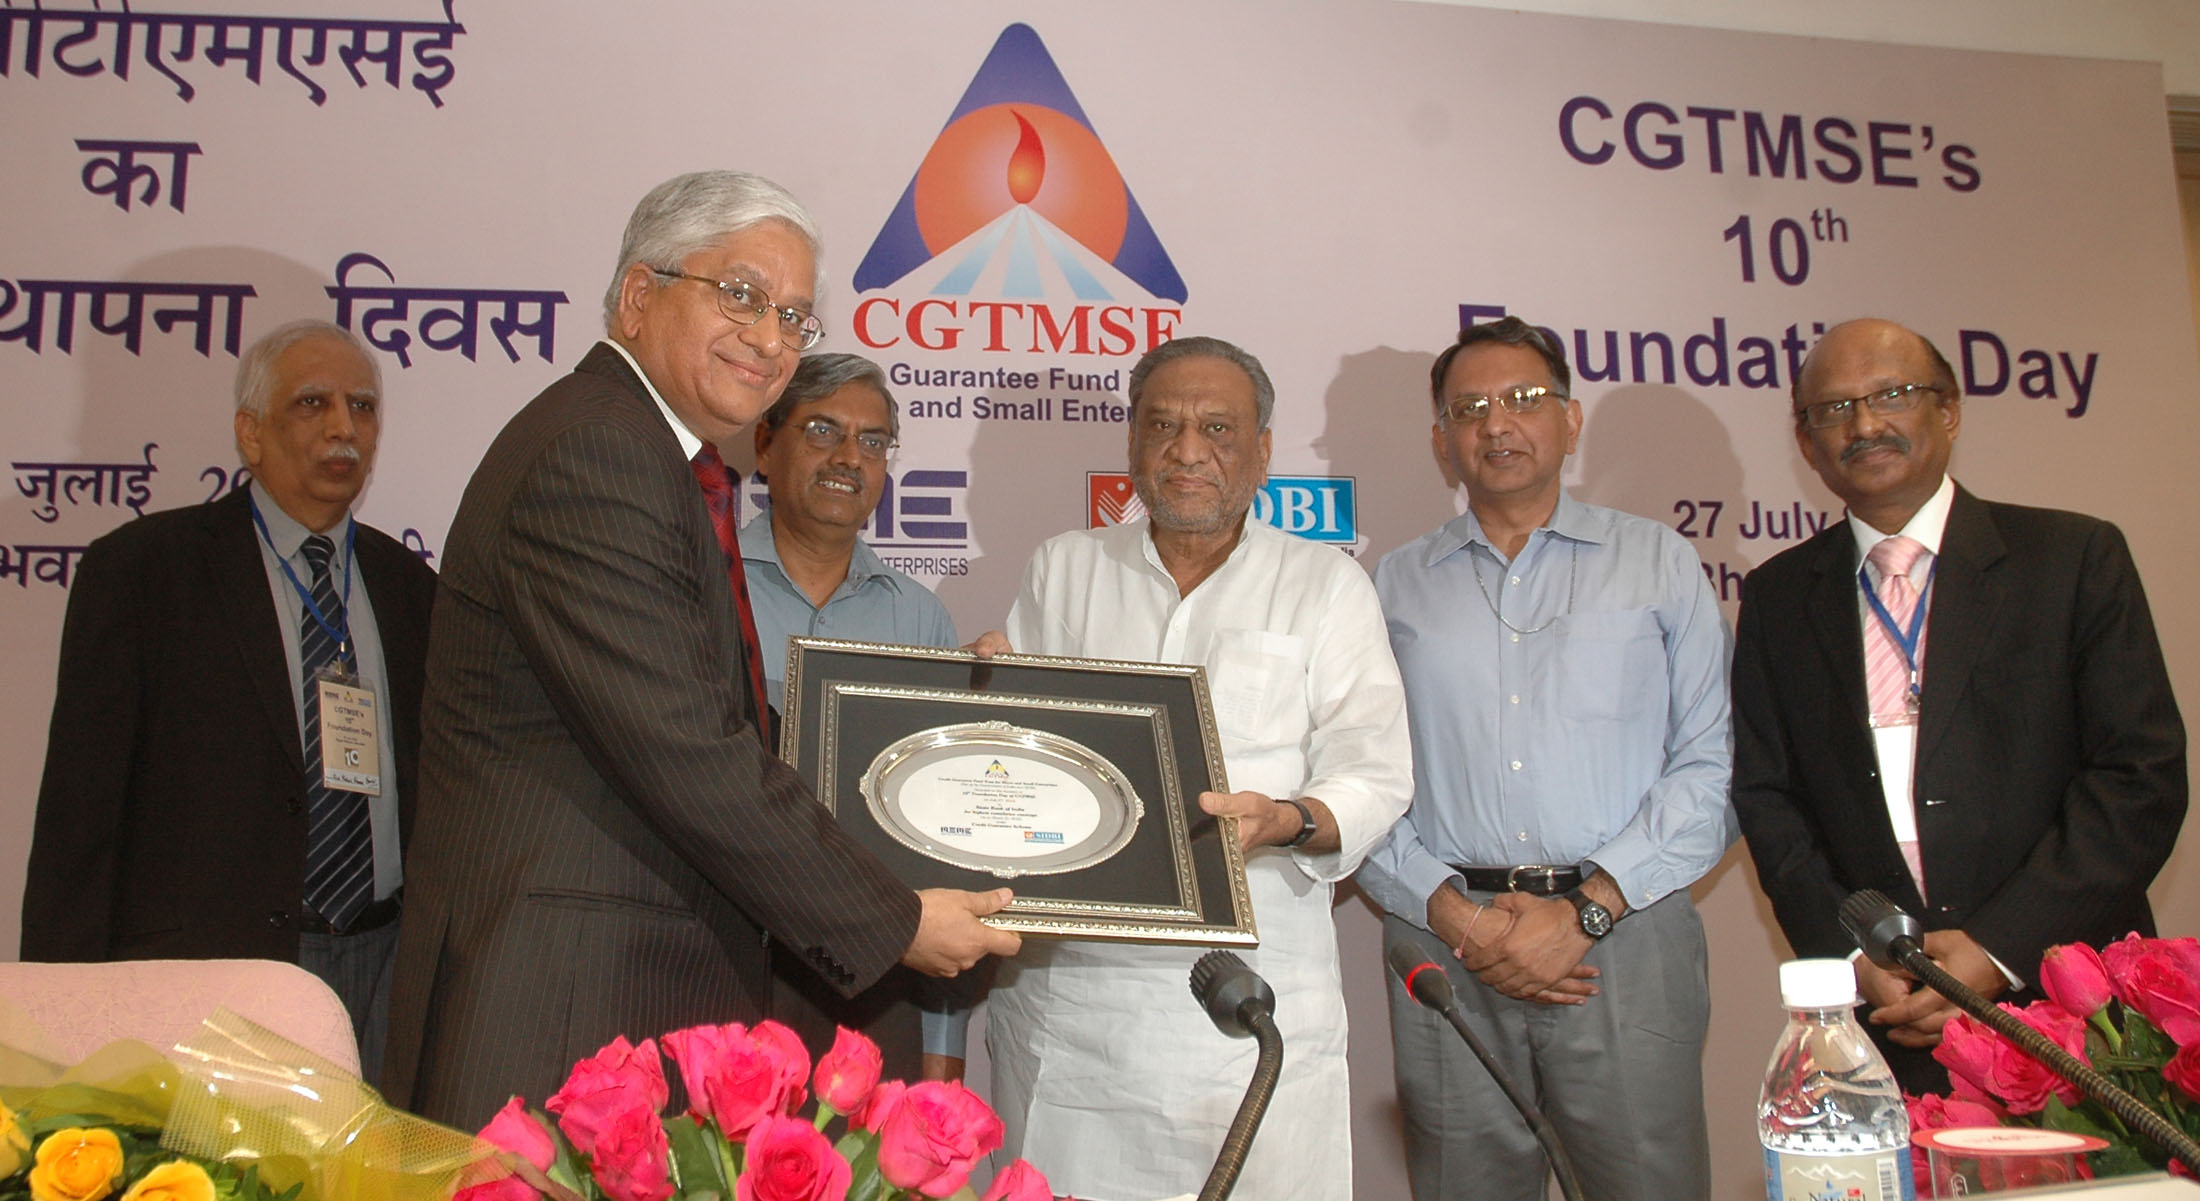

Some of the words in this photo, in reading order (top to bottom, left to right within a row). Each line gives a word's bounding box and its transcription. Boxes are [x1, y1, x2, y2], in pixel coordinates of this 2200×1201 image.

[1, 0, 469, 115] टीएमएसई
[1553, 89, 1984, 195] CGTMSE
[66, 131, 206, 225] का
[1714, 201, 1855, 299] 10th
[0, 273, 265, 367] थापना
[319, 244, 578, 376] दिवस
[846, 293, 1186, 359] CGTMSF
[905, 391, 966, 424] and
[889, 355, 1043, 394] Guarantee
[969, 391, 1057, 423] Small
[1045, 359, 1124, 397] Fund
[1057, 396, 1139, 429] Ente
[1949, 323, 2106, 424] Day
[10, 435, 164, 529] जुलाई
[1664, 488, 1728, 547] 27
[1735, 494, 1832, 547] July
[0, 537, 96, 587] भव
[877, 551, 971, 582] TERPRISES